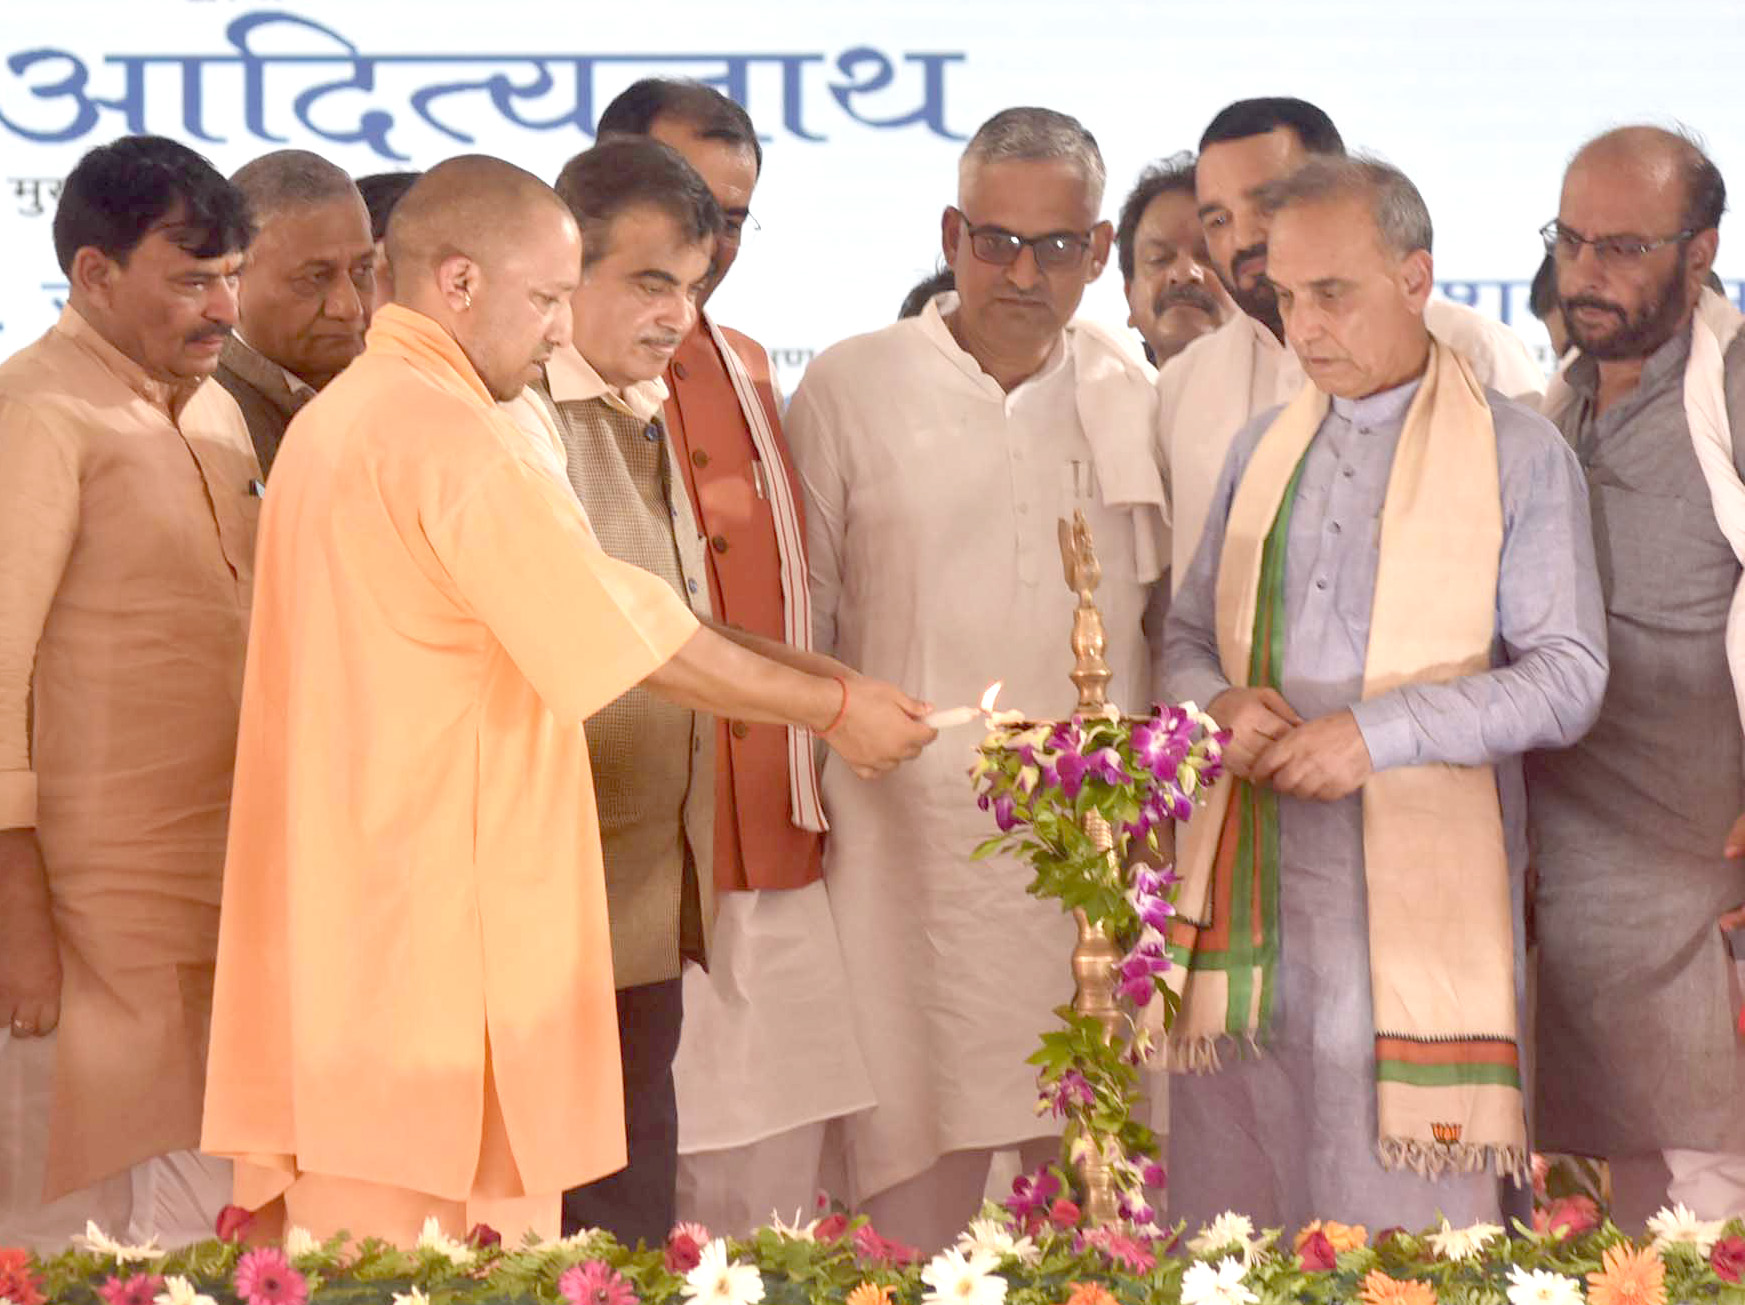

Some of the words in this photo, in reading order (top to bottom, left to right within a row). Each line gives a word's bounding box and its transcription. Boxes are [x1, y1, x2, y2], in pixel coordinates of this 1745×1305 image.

[1, 6, 972, 162] आदित्यनाथ